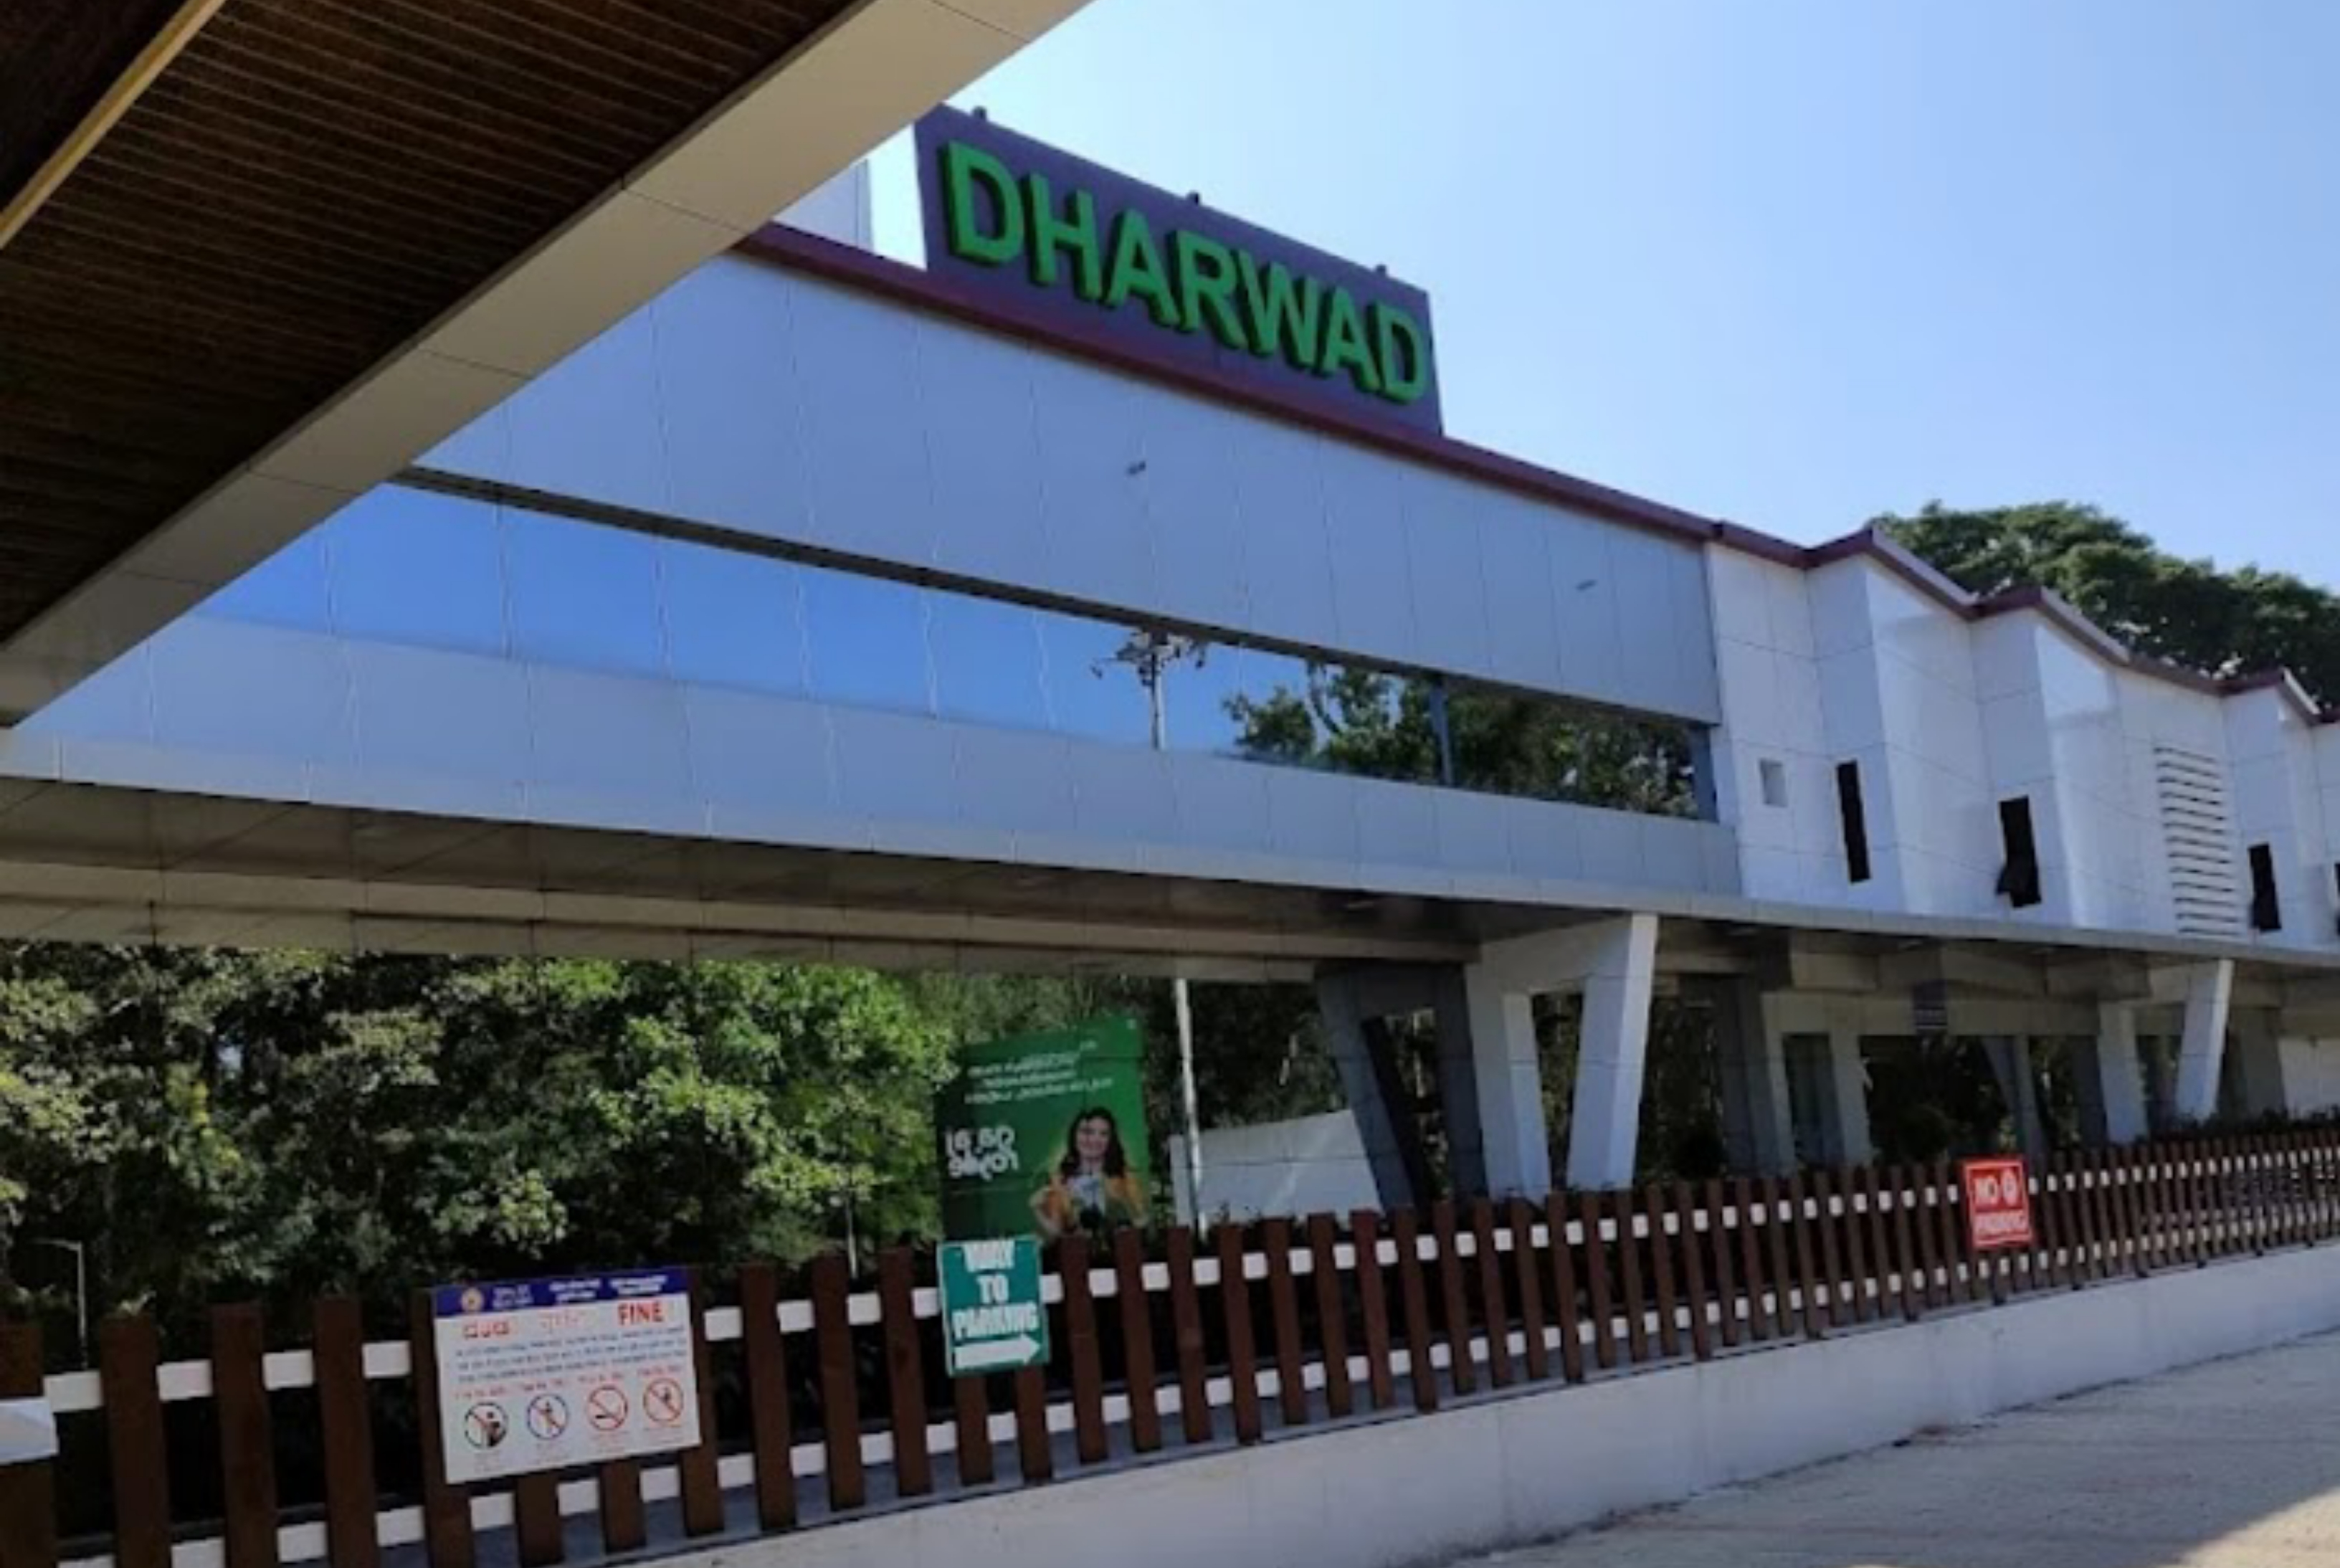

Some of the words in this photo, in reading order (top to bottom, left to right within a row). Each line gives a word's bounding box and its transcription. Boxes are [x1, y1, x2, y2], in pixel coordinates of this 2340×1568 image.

[944, 133, 1436, 412] DHARWAD
[954, 1234, 1019, 1276] WAY
[973, 1268, 1012, 1309] TO
[455, 1311, 516, 1347] dua
[616, 1297, 665, 1333] FINE
[948, 1296, 1042, 1344] PARKING